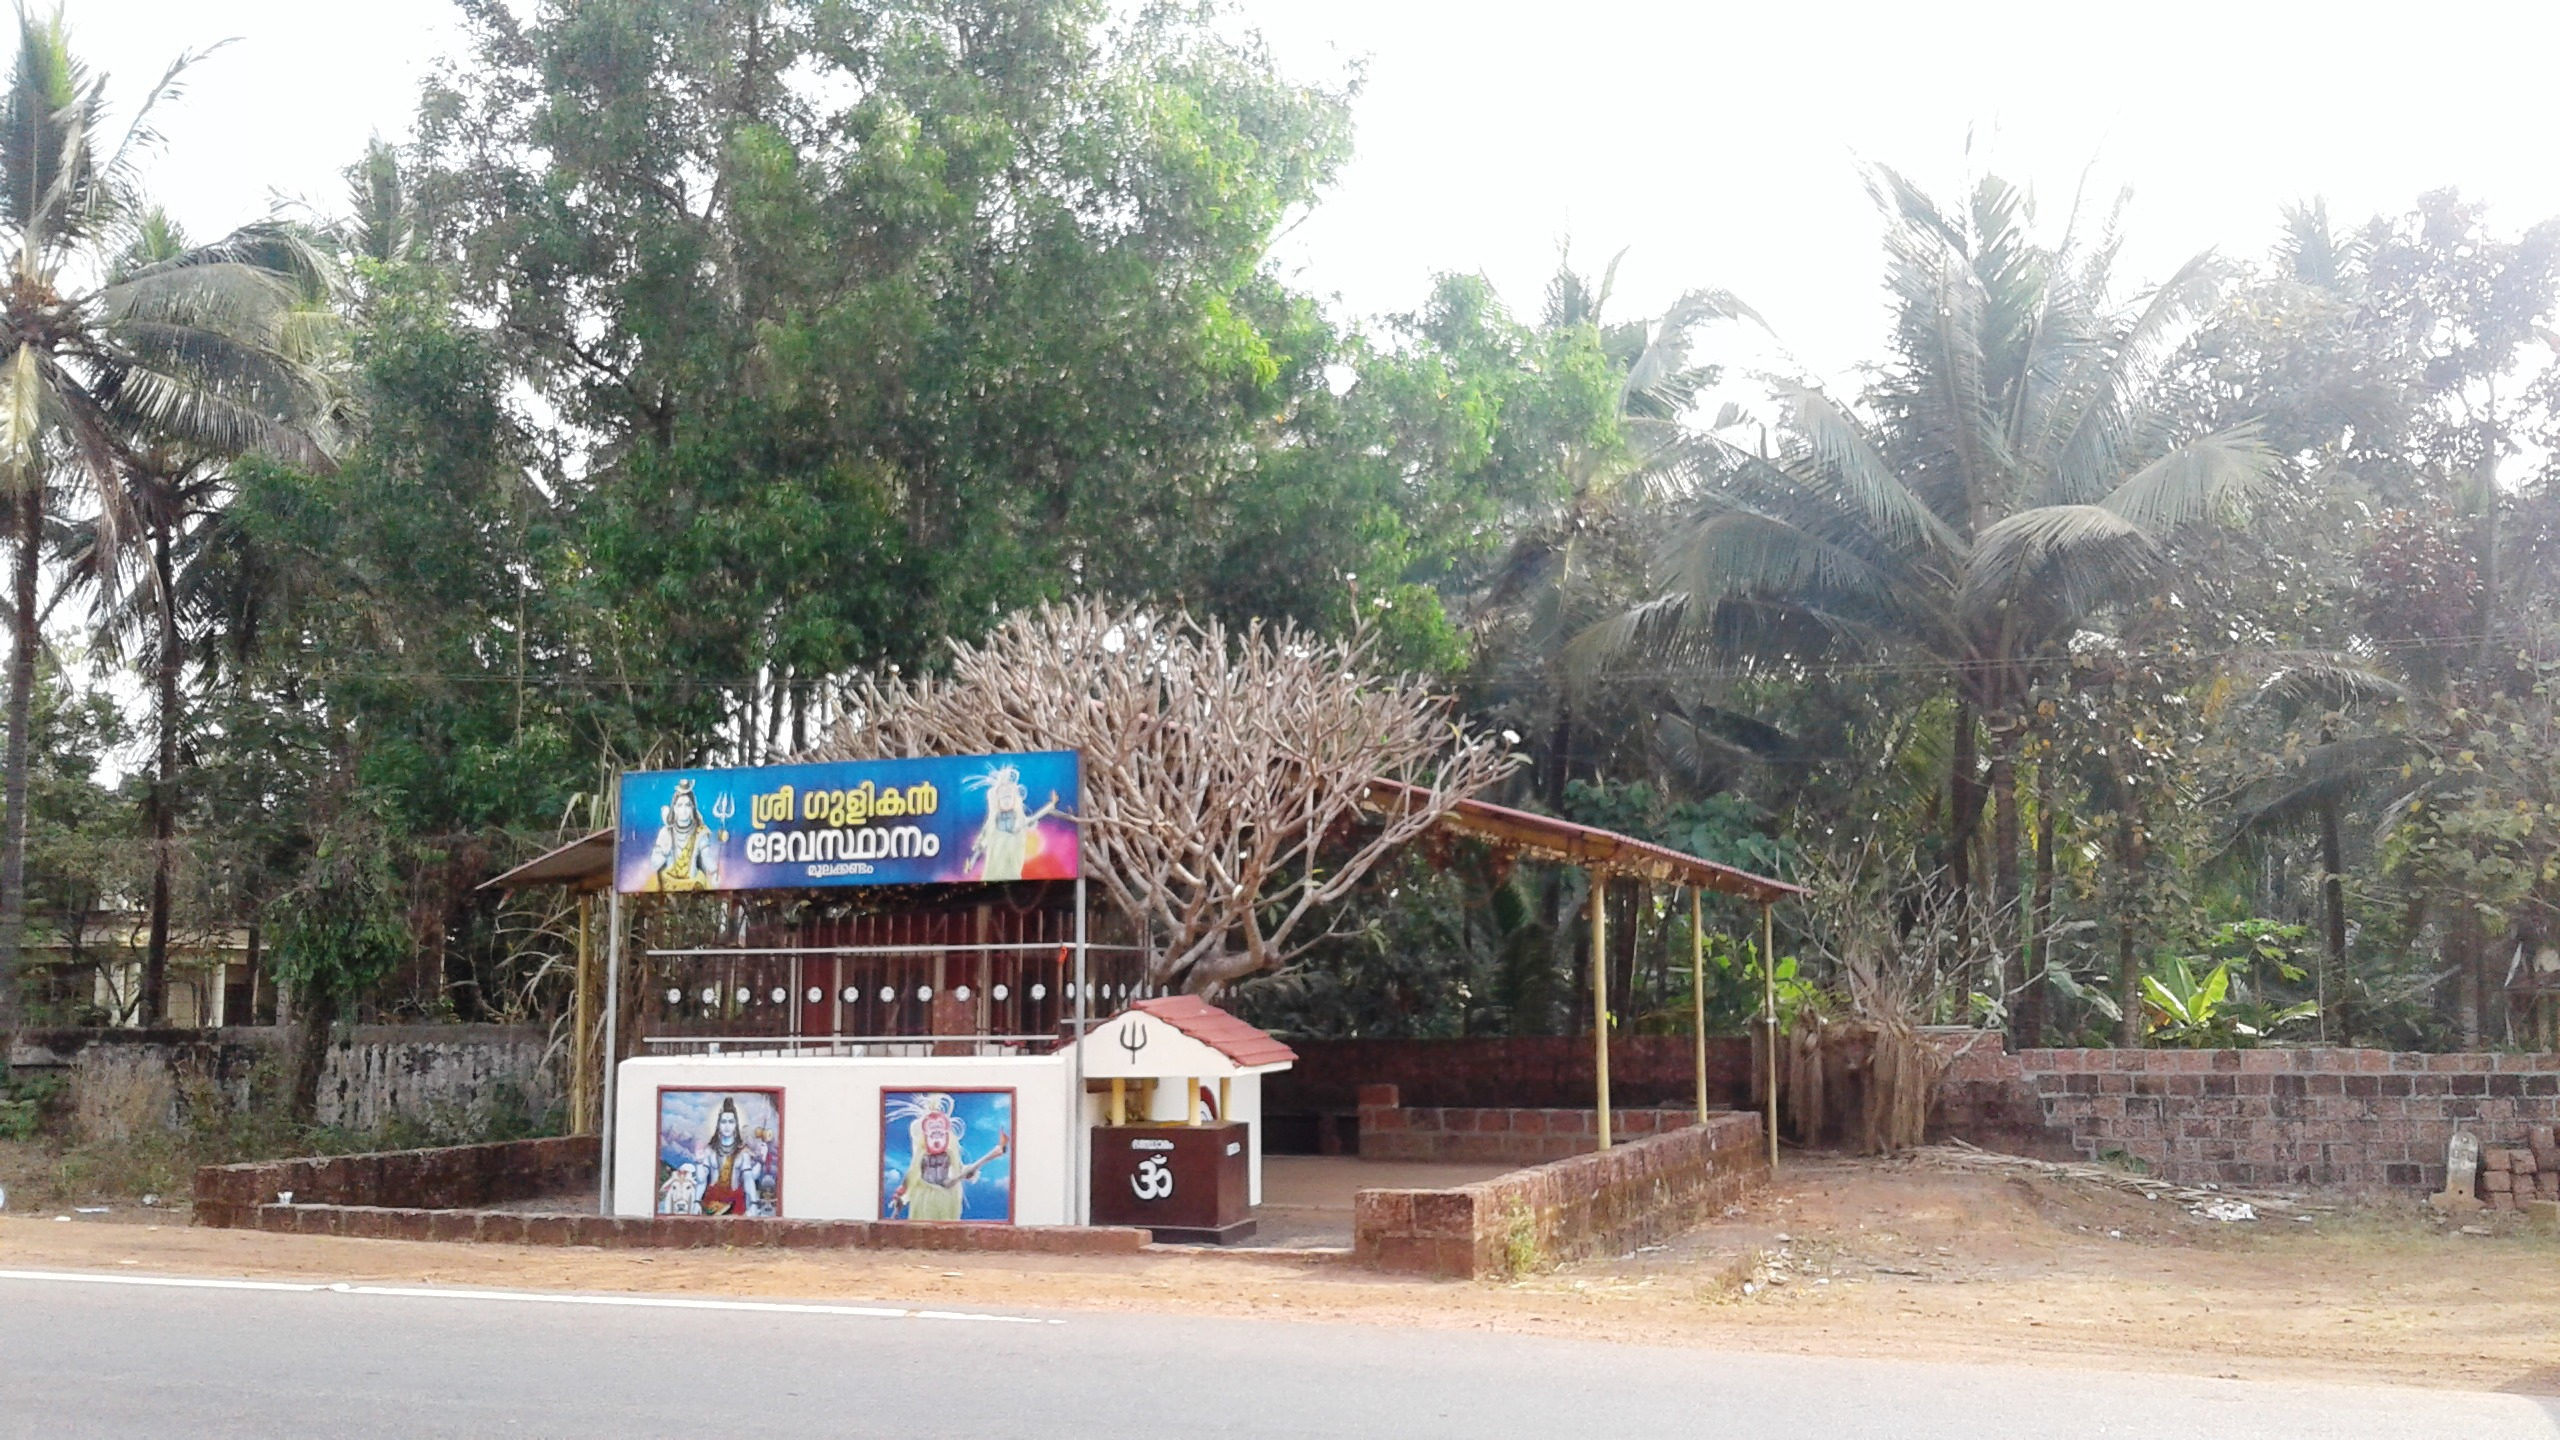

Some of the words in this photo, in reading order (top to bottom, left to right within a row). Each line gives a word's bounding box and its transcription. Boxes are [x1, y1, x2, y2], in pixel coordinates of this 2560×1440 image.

[749, 779, 802, 837] ശ്രീ
[796, 770, 941, 831] ഗുളികൻ
[801, 854, 879, 879] മൂലക്കണ്ടം
[743, 819, 943, 867] ദേവസ്ഥാനം
[1129, 1143, 1182, 1204] ॐ